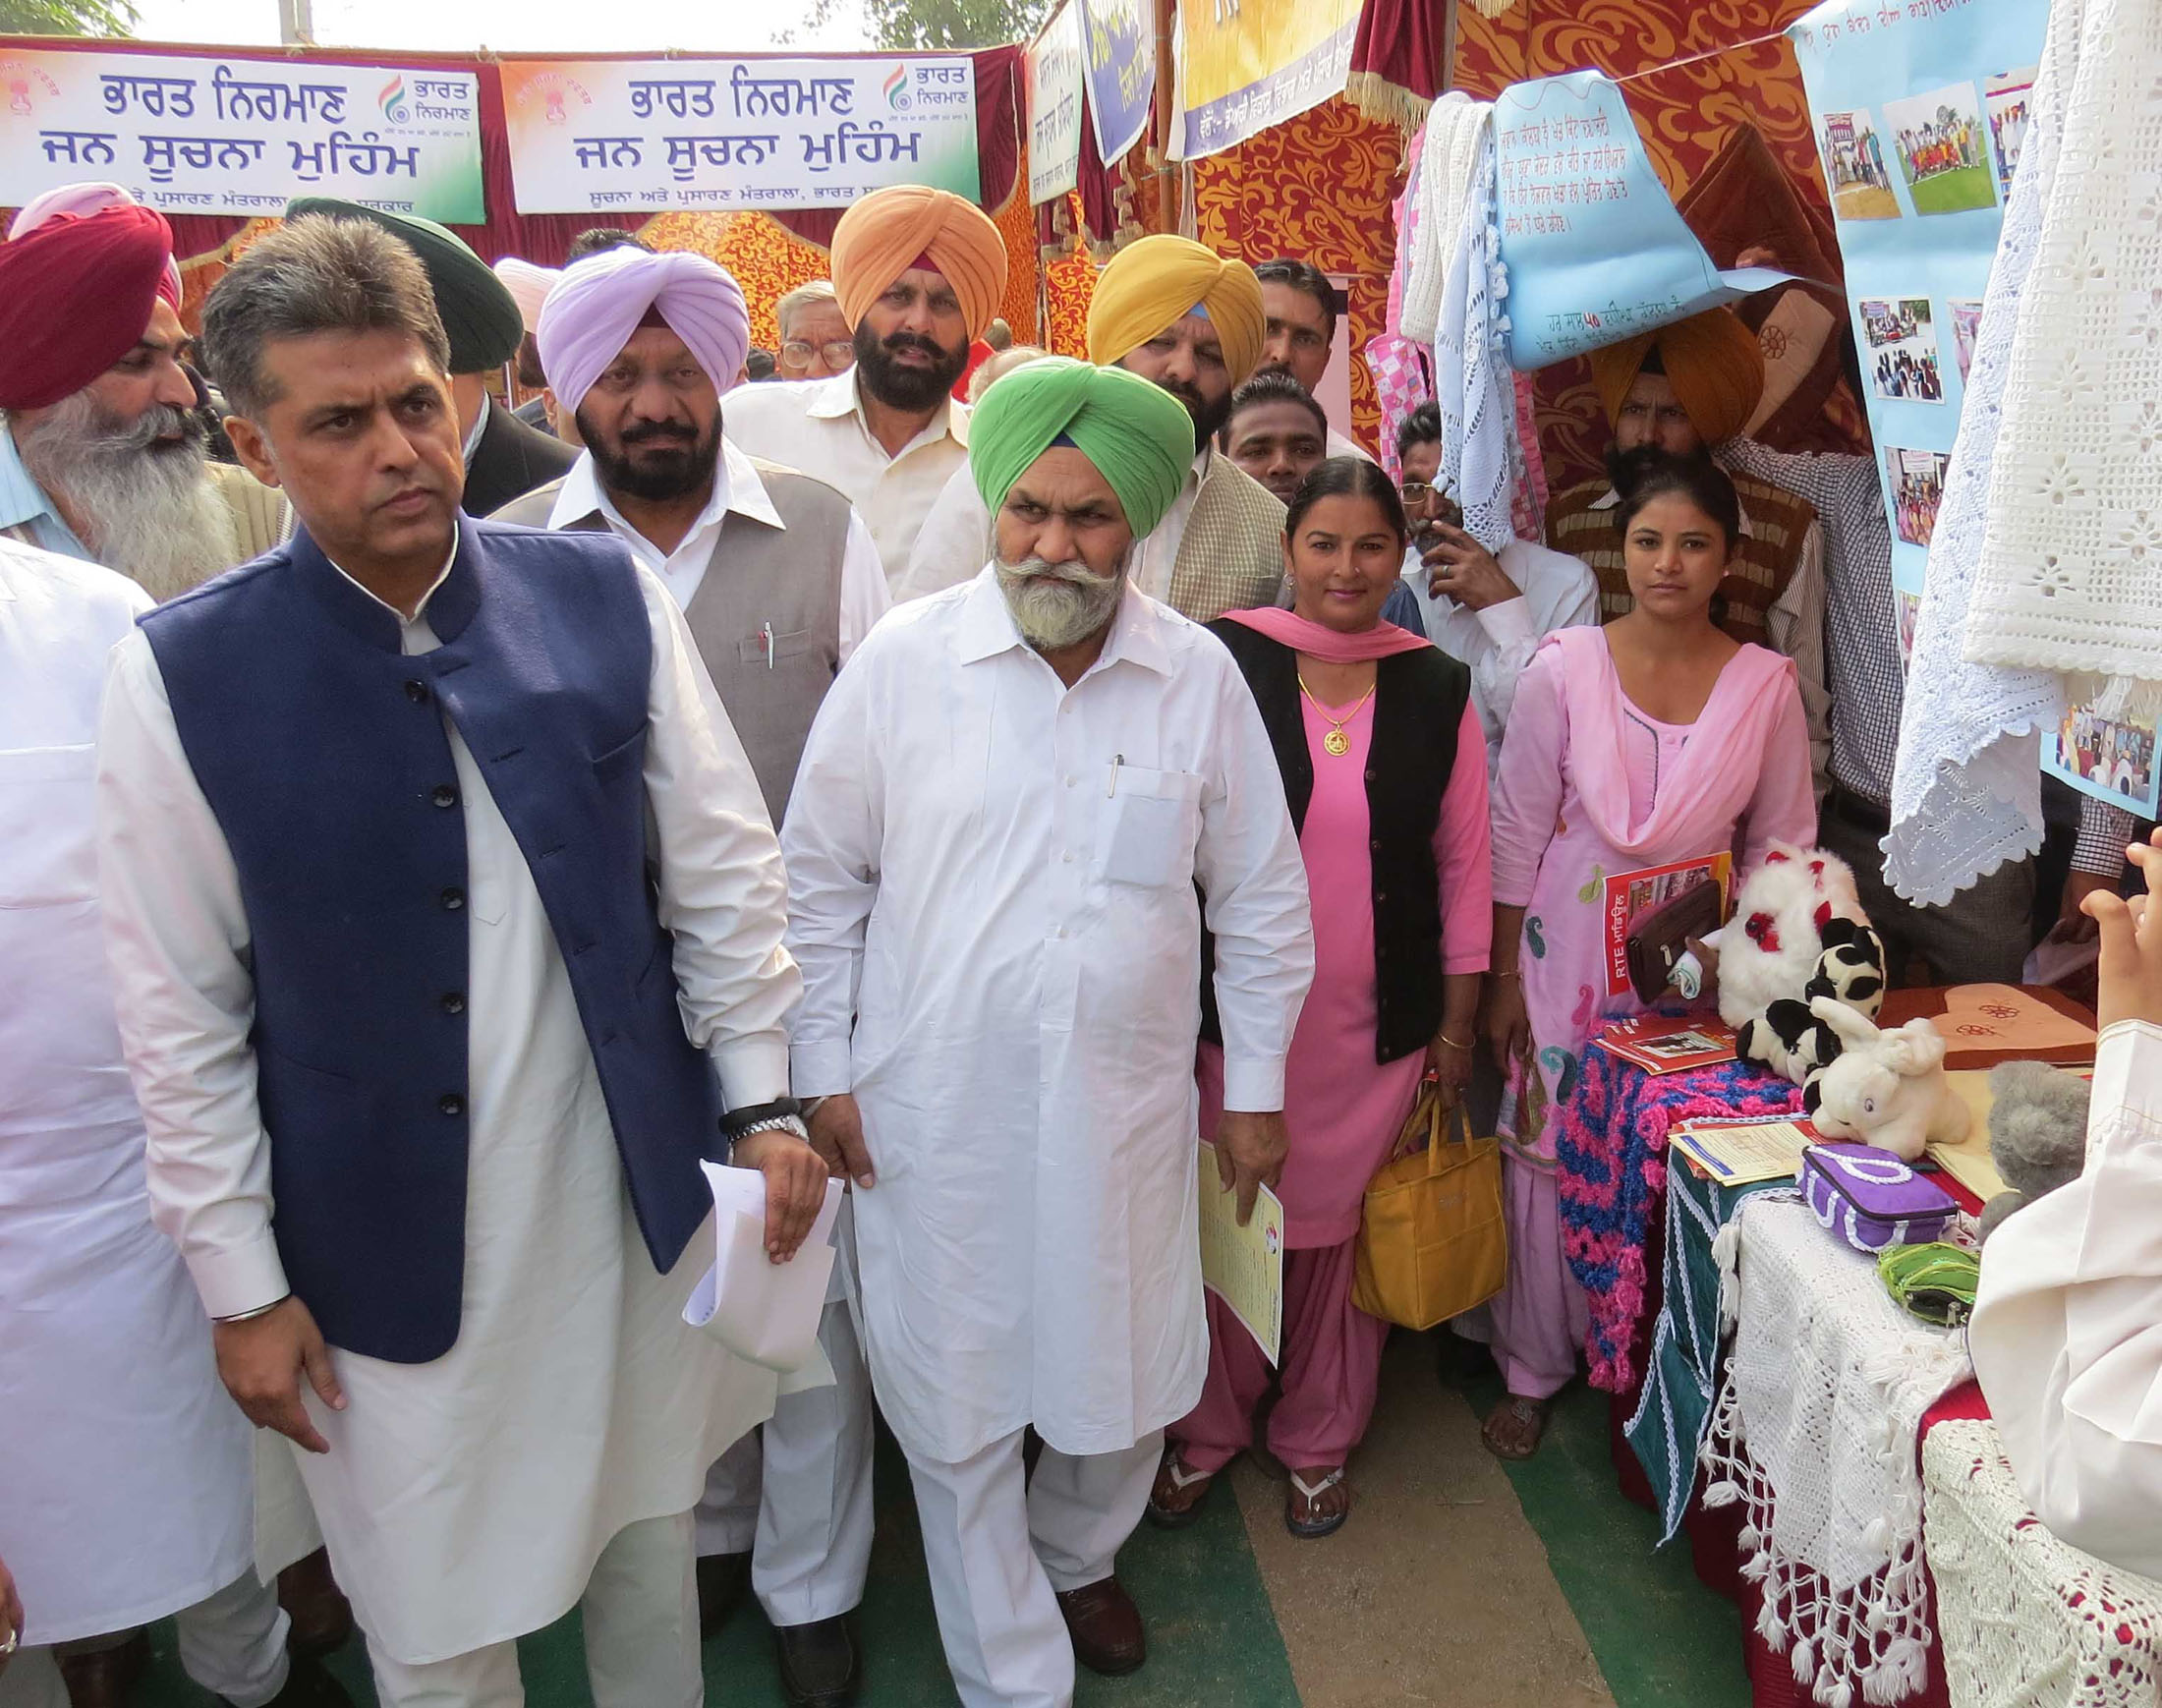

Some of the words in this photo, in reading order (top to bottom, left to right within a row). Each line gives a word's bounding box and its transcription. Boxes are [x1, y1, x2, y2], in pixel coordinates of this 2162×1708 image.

[90, 67, 203, 124] ਭਾਰਤ
[205, 61, 361, 131] ਨਿਰਮਾਣ
[410, 77, 472, 104] ਭਾਰਤ
[410, 101, 475, 127] ਨਿਰਮਾਣ
[621, 74, 727, 126] ਭਾਰਤ
[724, 61, 866, 128] ਨਿਰਮਾਣ
[909, 64, 971, 88] ਭਾਰਤ
[913, 85, 973, 107] ਨਿਰਮਾਣ
[29, 122, 128, 171] ਜਨ
[131, 130, 272, 186] ਸੂਚਨਾ
[277, 126, 434, 187] ਮੁਹਿੰਮ
[563, 134, 652, 174] ਜਨ
[657, 131, 785, 186] ਸੂਚਨਾ
[792, 115, 929, 176] ਮੁਹਿੰਮ
[148, 187, 217, 215] ਪ੍ਰਸਾਰਣ
[214, 184, 293, 213] ਮੰਤਰਾਲ
[583, 187, 636, 210] ਸੂਚਨਾ
[636, 184, 672, 207] ਅਤੇ
[670, 186, 738, 209] ਪ੍ਰਸਾਰਣ
[736, 180, 805, 203] ਮੰਤਰਾਲਾ
[808, 182, 859, 204] ਭਾਰਤ
[1607, 886, 1630, 943] ਮਾਡਿਉਲ
[1608, 943, 1632, 983] RTE